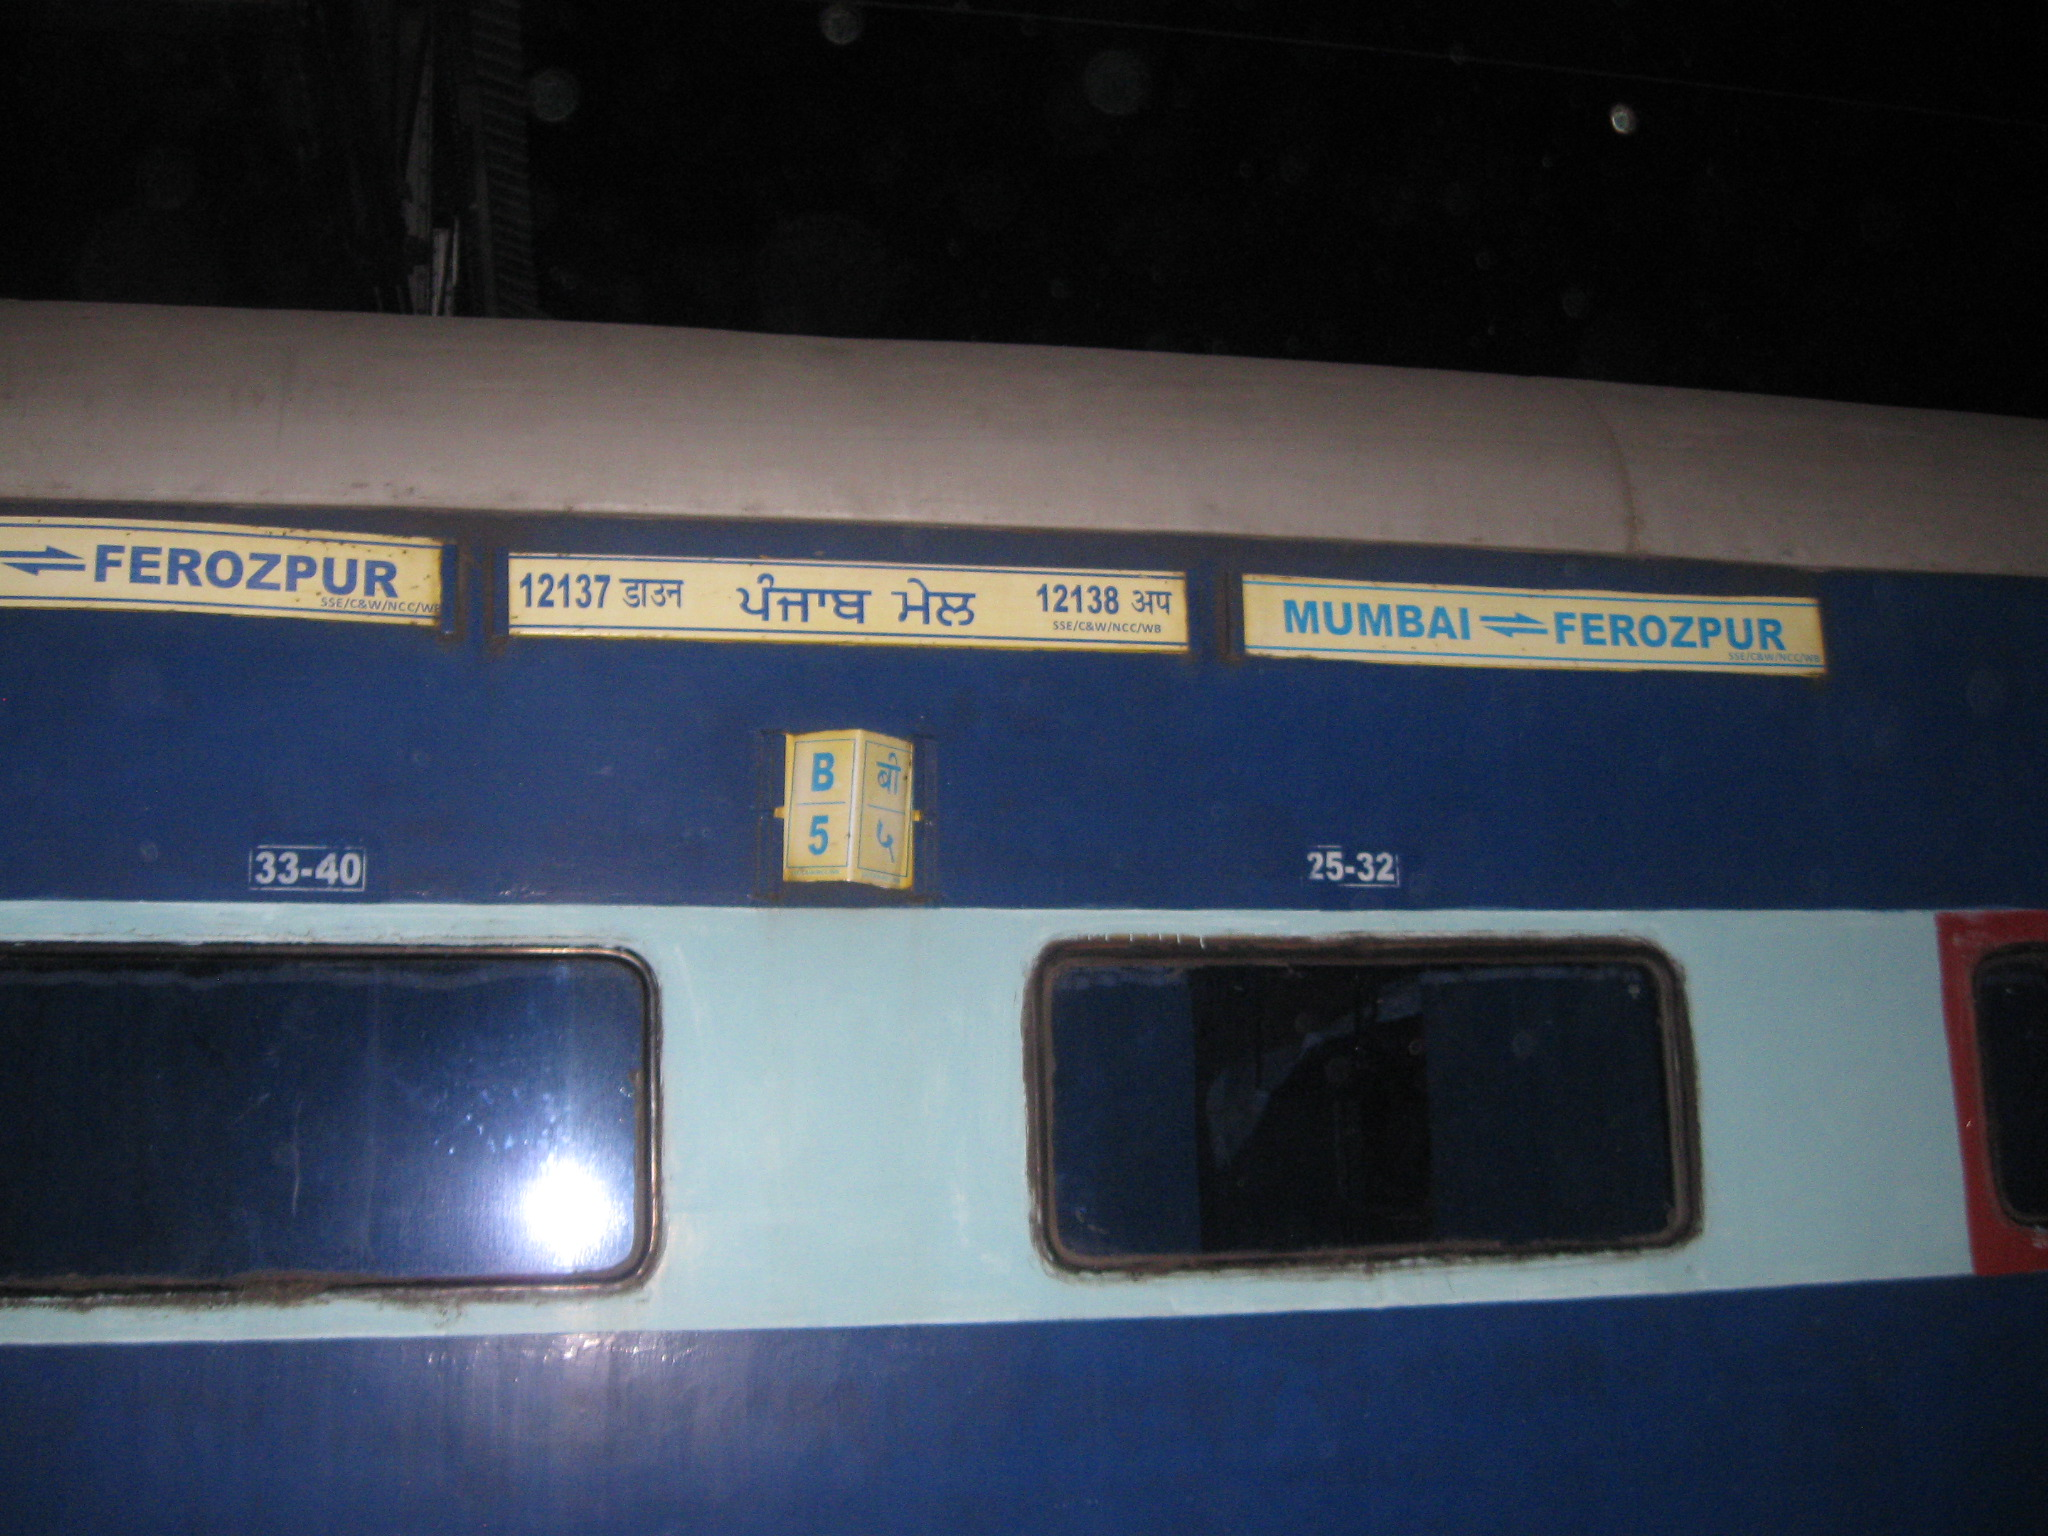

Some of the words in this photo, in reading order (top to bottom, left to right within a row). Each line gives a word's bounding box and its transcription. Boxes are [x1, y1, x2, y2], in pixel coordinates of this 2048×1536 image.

[91, 539, 408, 600] FEROZPUR
[515, 563, 613, 617] 12137
[615, 568, 696, 620] डाउन
[725, 563, 877, 631] ਪੰਜਾਬ
[880, 572, 987, 633] ਮੇਲ
[1029, 579, 1126, 616] 12138
[1127, 579, 1181, 617] अप
[1269, 593, 1478, 649] MUMBAI
[1550, 603, 1796, 652] FEROZPUR
[784, 738, 855, 866] B5
[856, 744, 912, 875] बी
[247, 846, 363, 891] 33-40
[1301, 845, 1400, 888] 25-32